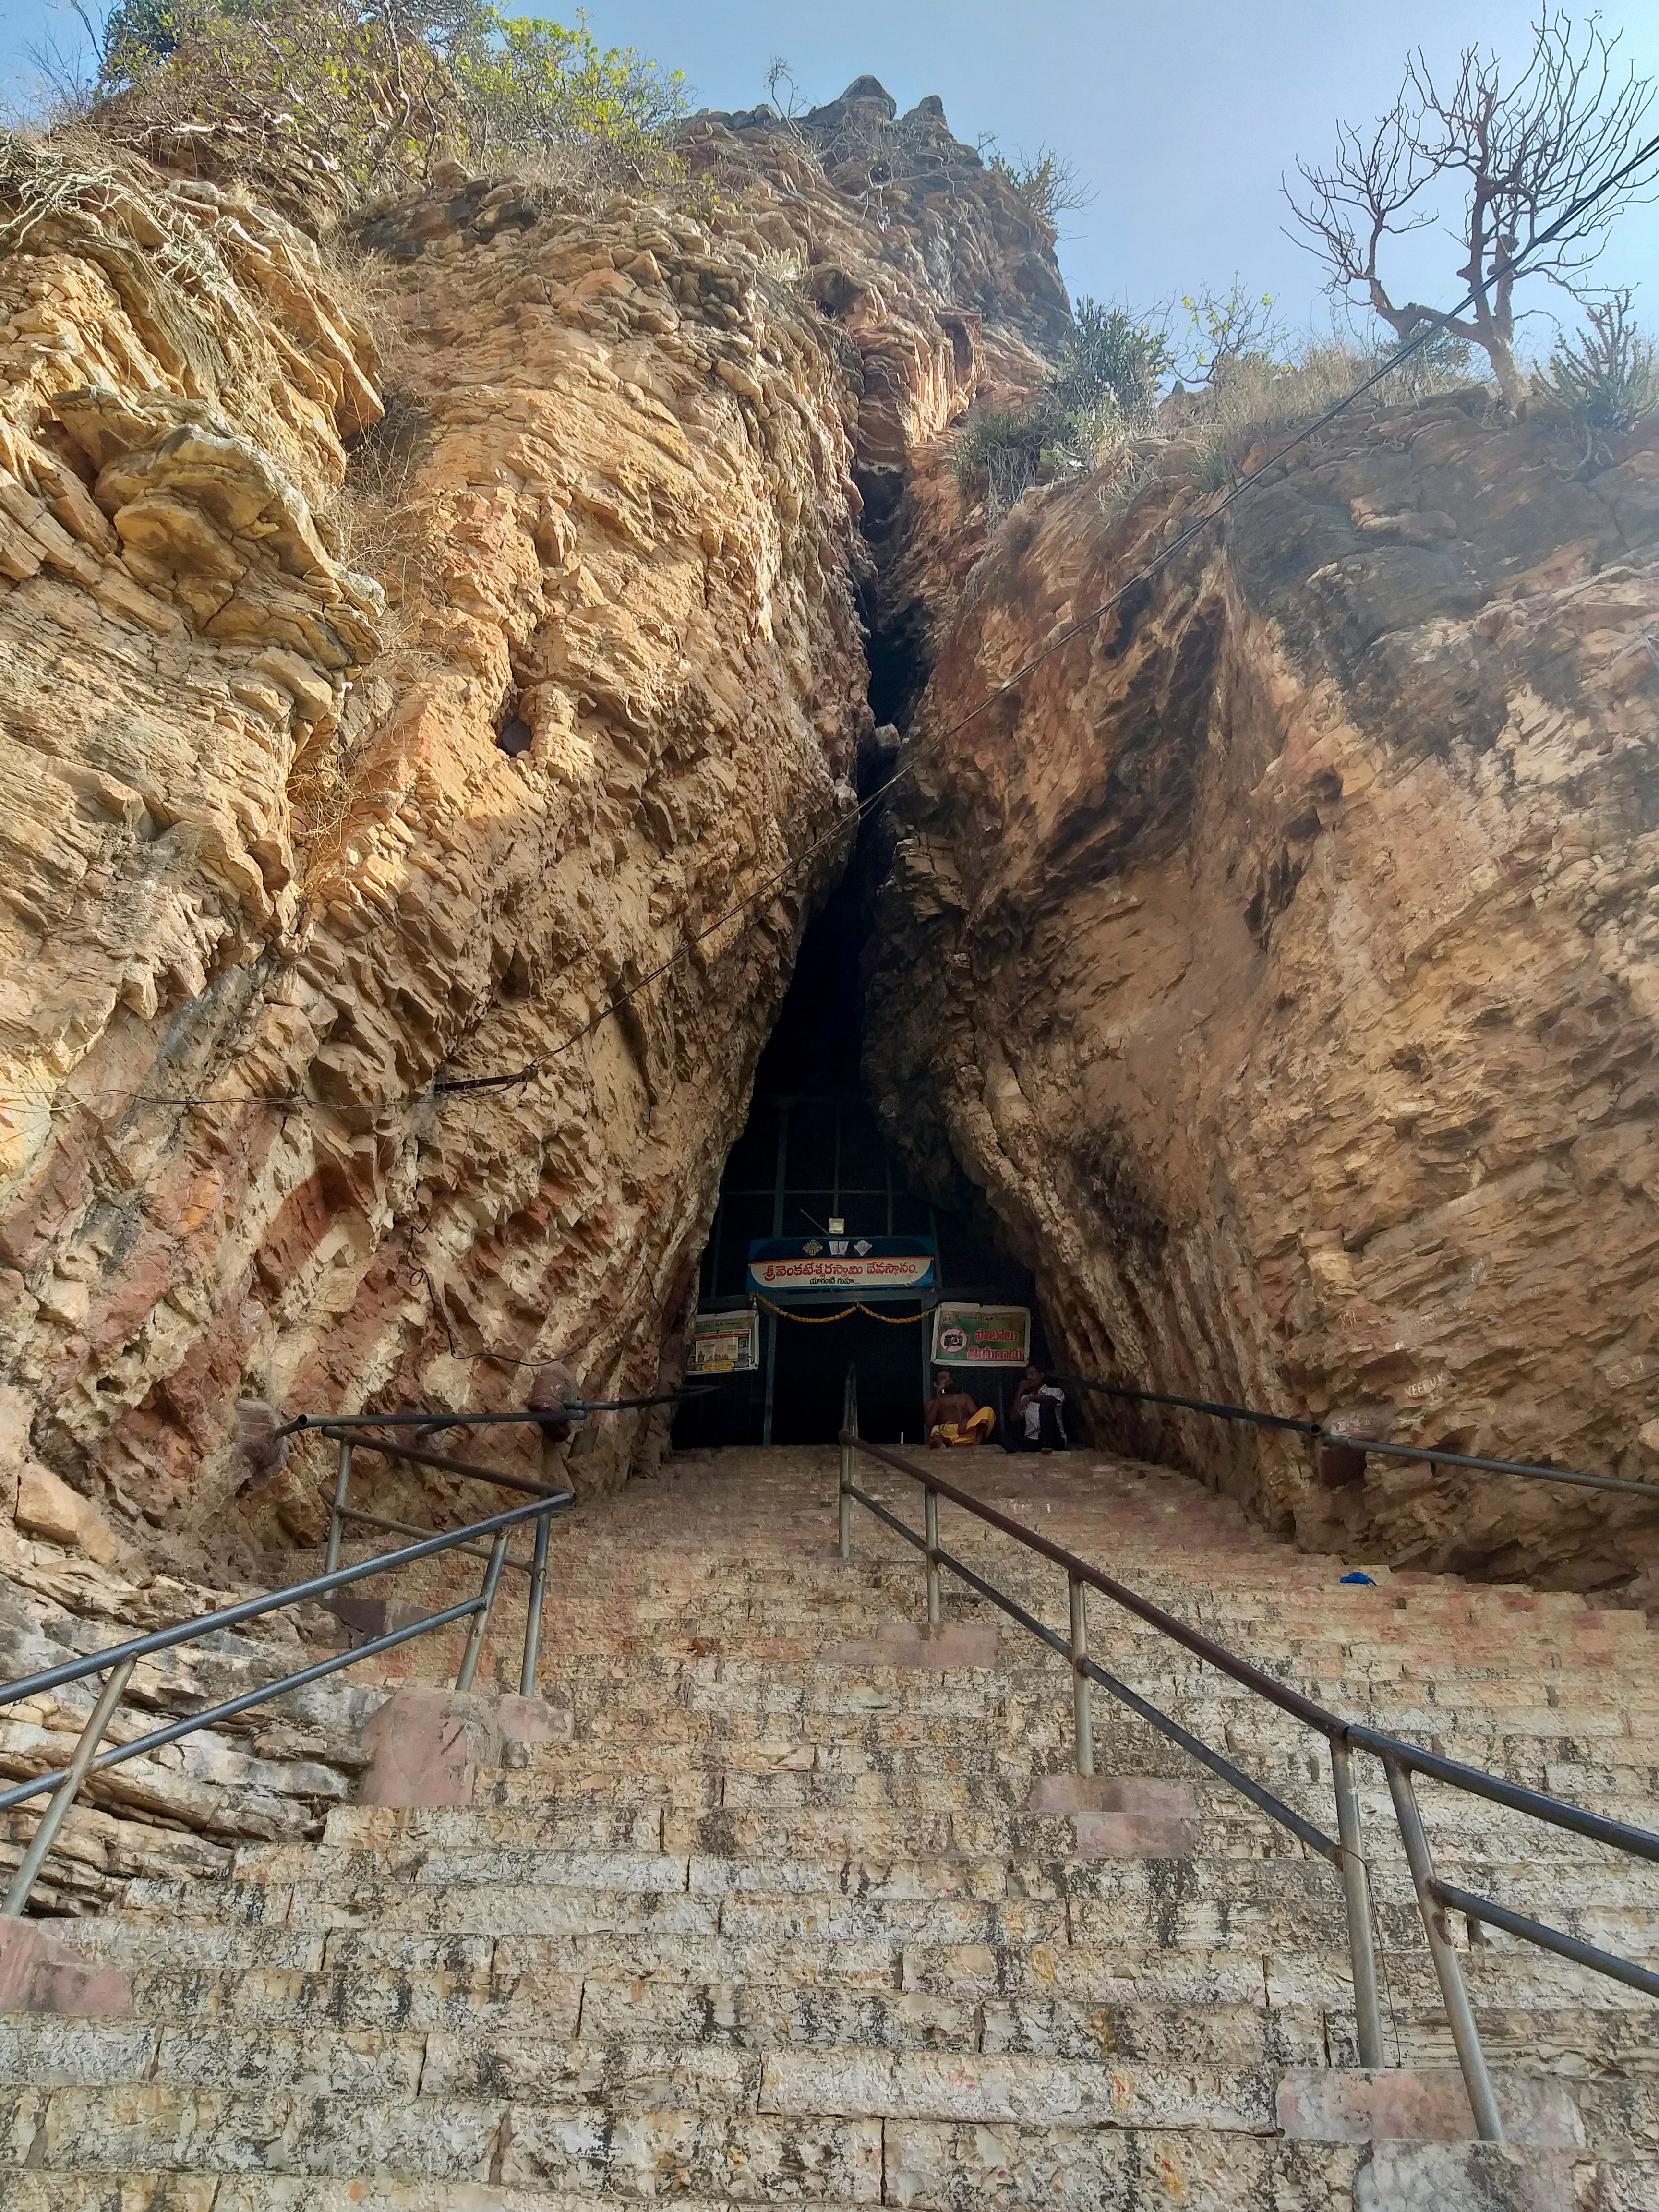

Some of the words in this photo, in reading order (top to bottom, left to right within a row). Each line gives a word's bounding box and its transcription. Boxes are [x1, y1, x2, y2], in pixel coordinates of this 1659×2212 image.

[759, 1259, 865, 1284] శ్రీ వెంకటేశ్వరస్వామి
[806, 1273, 836, 1286] యాగంటి
[831, 1273, 859, 1287] గుహ
[863, 1258, 920, 1276] దేవస్థానం.
[961, 1344, 1023, 1363] తీయరామ